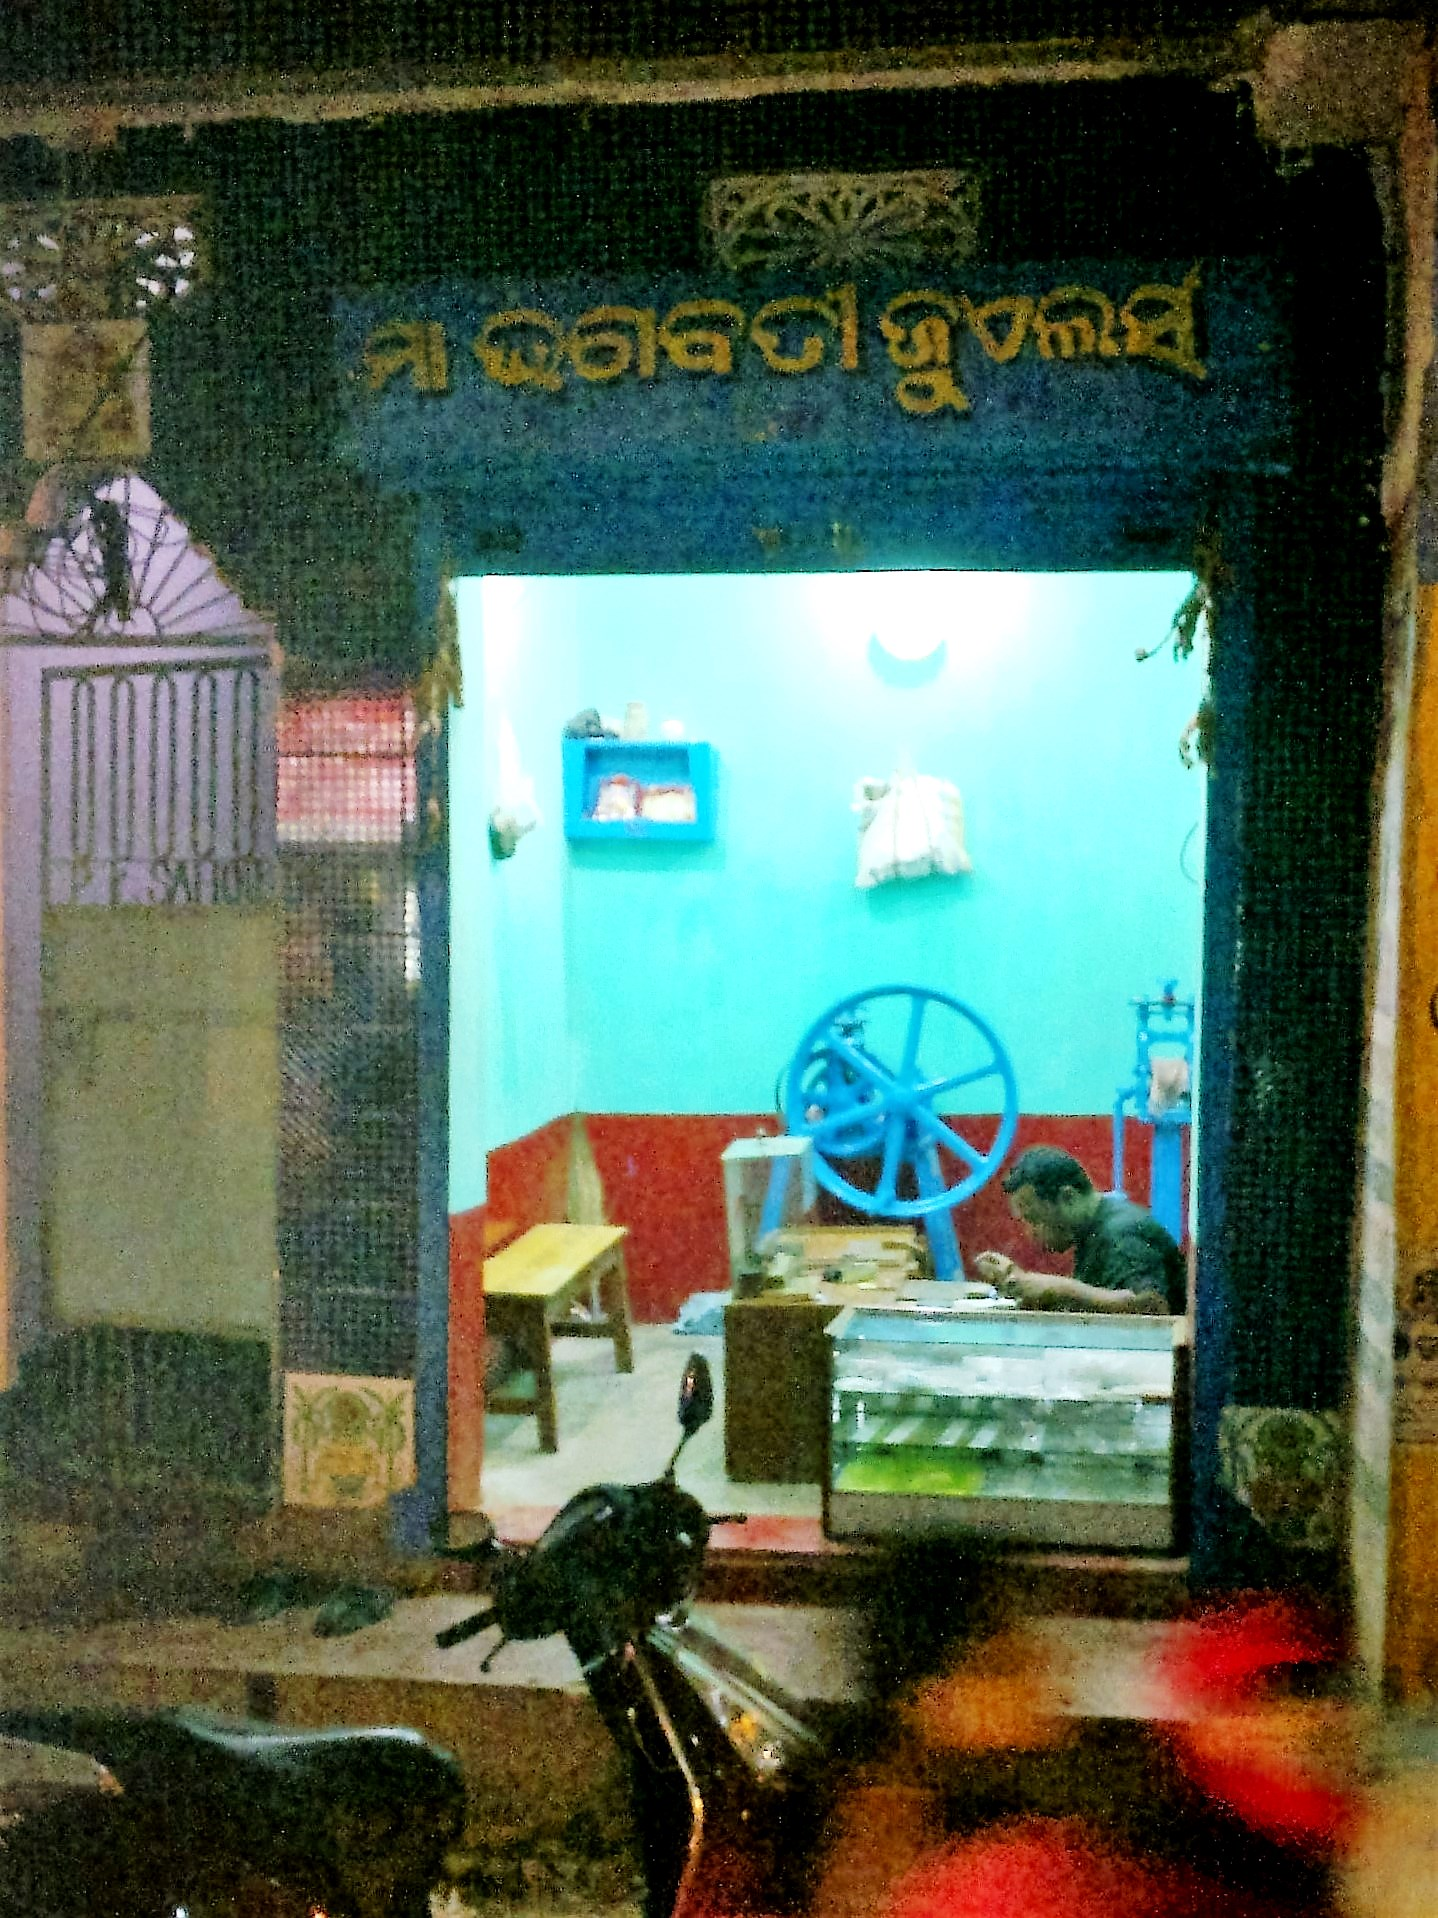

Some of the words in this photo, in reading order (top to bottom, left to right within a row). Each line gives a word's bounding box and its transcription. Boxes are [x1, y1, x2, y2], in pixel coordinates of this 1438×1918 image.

[355, 277, 867, 406] ମା ଭଗବତା